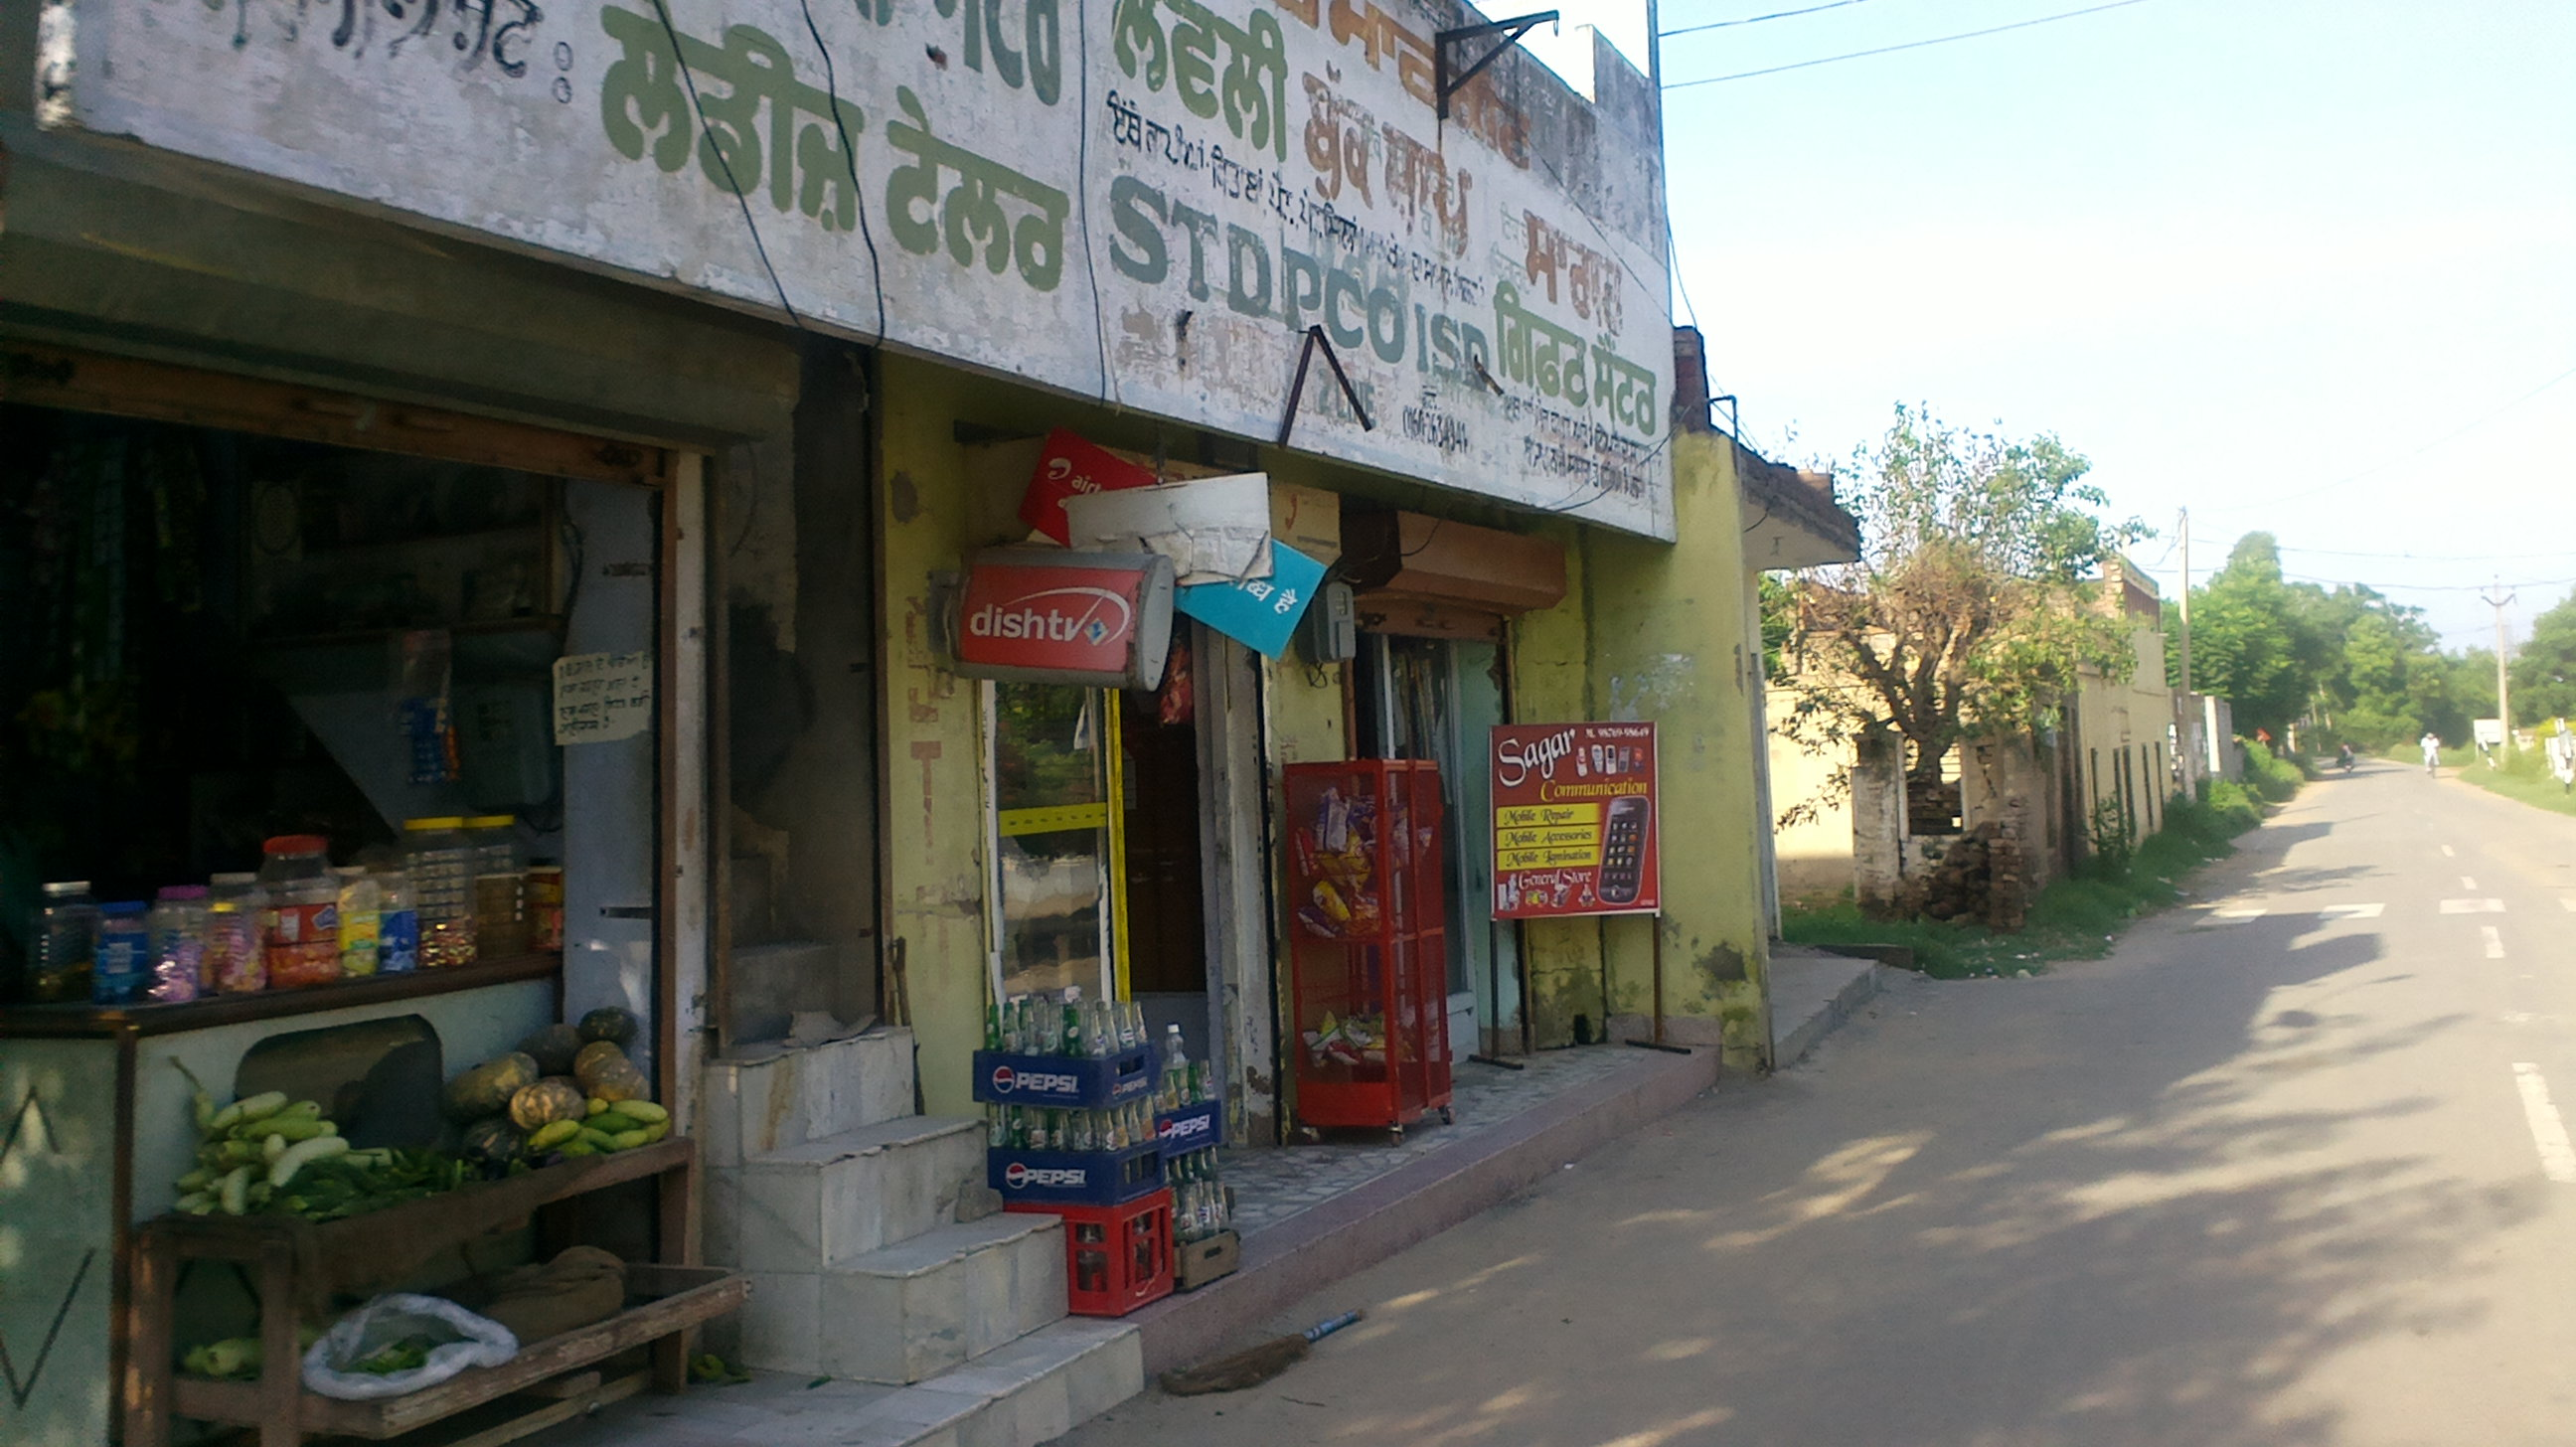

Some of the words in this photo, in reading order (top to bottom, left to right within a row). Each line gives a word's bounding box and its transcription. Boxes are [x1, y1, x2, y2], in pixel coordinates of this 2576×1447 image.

[569, 1, 881, 242] ਲਡੀਜ
[1101, 2, 1306, 173] ਲਵਲੀ
[865, 75, 1084, 303] ਟੇਲਰ
[1091, 157, 1277, 329] STD
[1275, 236, 1413, 372] PCO
[1410, 289, 1496, 401] ISD
[1486, 269, 1593, 413] ਗਿਫ਼ਟ
[1588, 327, 1665, 443] ਸੈਂਟਰ
[958, 590, 1109, 656] dishtv
[1491, 724, 1583, 793] Sagar
[1533, 773, 1657, 804] Communication
[1009, 1064, 1083, 1094] PEPSI.
[1023, 1161, 1088, 1183] PEPSI
[1170, 1109, 1215, 1141] PEPSI